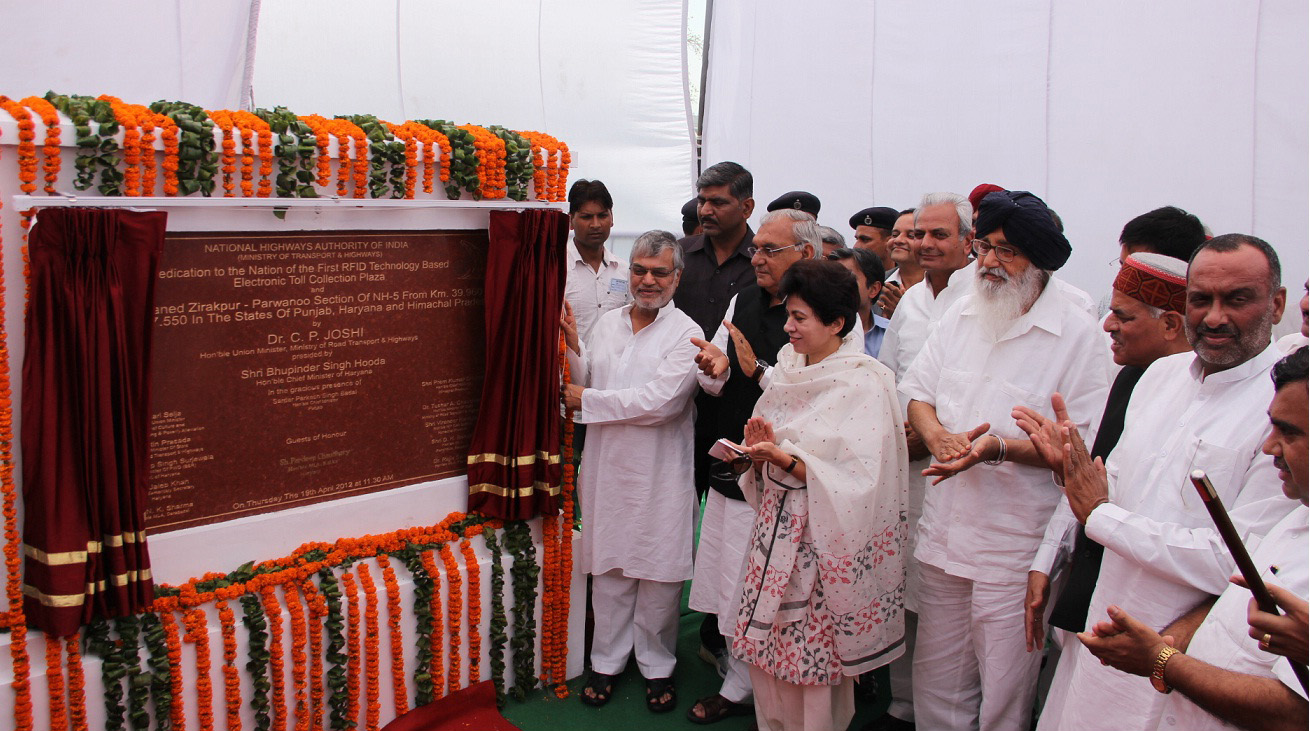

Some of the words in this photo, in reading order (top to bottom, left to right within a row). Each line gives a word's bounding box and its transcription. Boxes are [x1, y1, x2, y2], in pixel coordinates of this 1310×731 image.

[201, 241, 259, 255] NATIONAL
[257, 239, 314, 253] HIGHWAYS
[314, 239, 370, 252] AUTHORITY
[370, 238, 385, 252] OF
[383, 239, 412, 252] INDIA
[158, 265, 213, 281] edication
[212, 264, 227, 279] to
[225, 263, 247, 278] the
[231, 275, 288, 291] Electronic
[245, 262, 284, 275] Nation
[282, 261, 298, 275] of
[283, 274, 308, 287] Toll
[297, 260, 315, 273] the
[315, 260, 340, 274] First
[307, 272, 357, 285] Collection
[339, 260, 367, 273] RFID
[357, 271, 389, 283] Plaza
[367, 257, 422, 274] Technology
[420, 257, 453, 272] Based
[159, 313, 189, 329] 550
[188, 313, 206, 327] In
[185, 297, 243, 312] Zirakpur
[205, 312, 233, 325] The
[231, 309, 273, 325] States
[249, 293, 312, 310] Parwanoo
[273, 307, 293, 321] Of
[291, 305, 338, 319] Punjab,
[310, 291, 357, 306] Section
[334, 302, 384, 316] Haryana
[353, 289, 372, 303] Of
[370, 285, 402, 301] NH-5
[383, 301, 407, 313] and
[401, 285, 429, 301] From
[405, 297, 455, 311] Himachal
[429, 285, 451, 299] Km.
[449, 286, 466, 299] 39
[264, 330, 288, 347] Dr.
[288, 328, 321, 343] C.P.
[320, 325, 369, 341] JOSHI
[236, 365, 266, 382] Shri
[265, 361, 321, 379] Bhupinder
[319, 357, 353, 371] Singh
[351, 354, 389, 369] Hooda